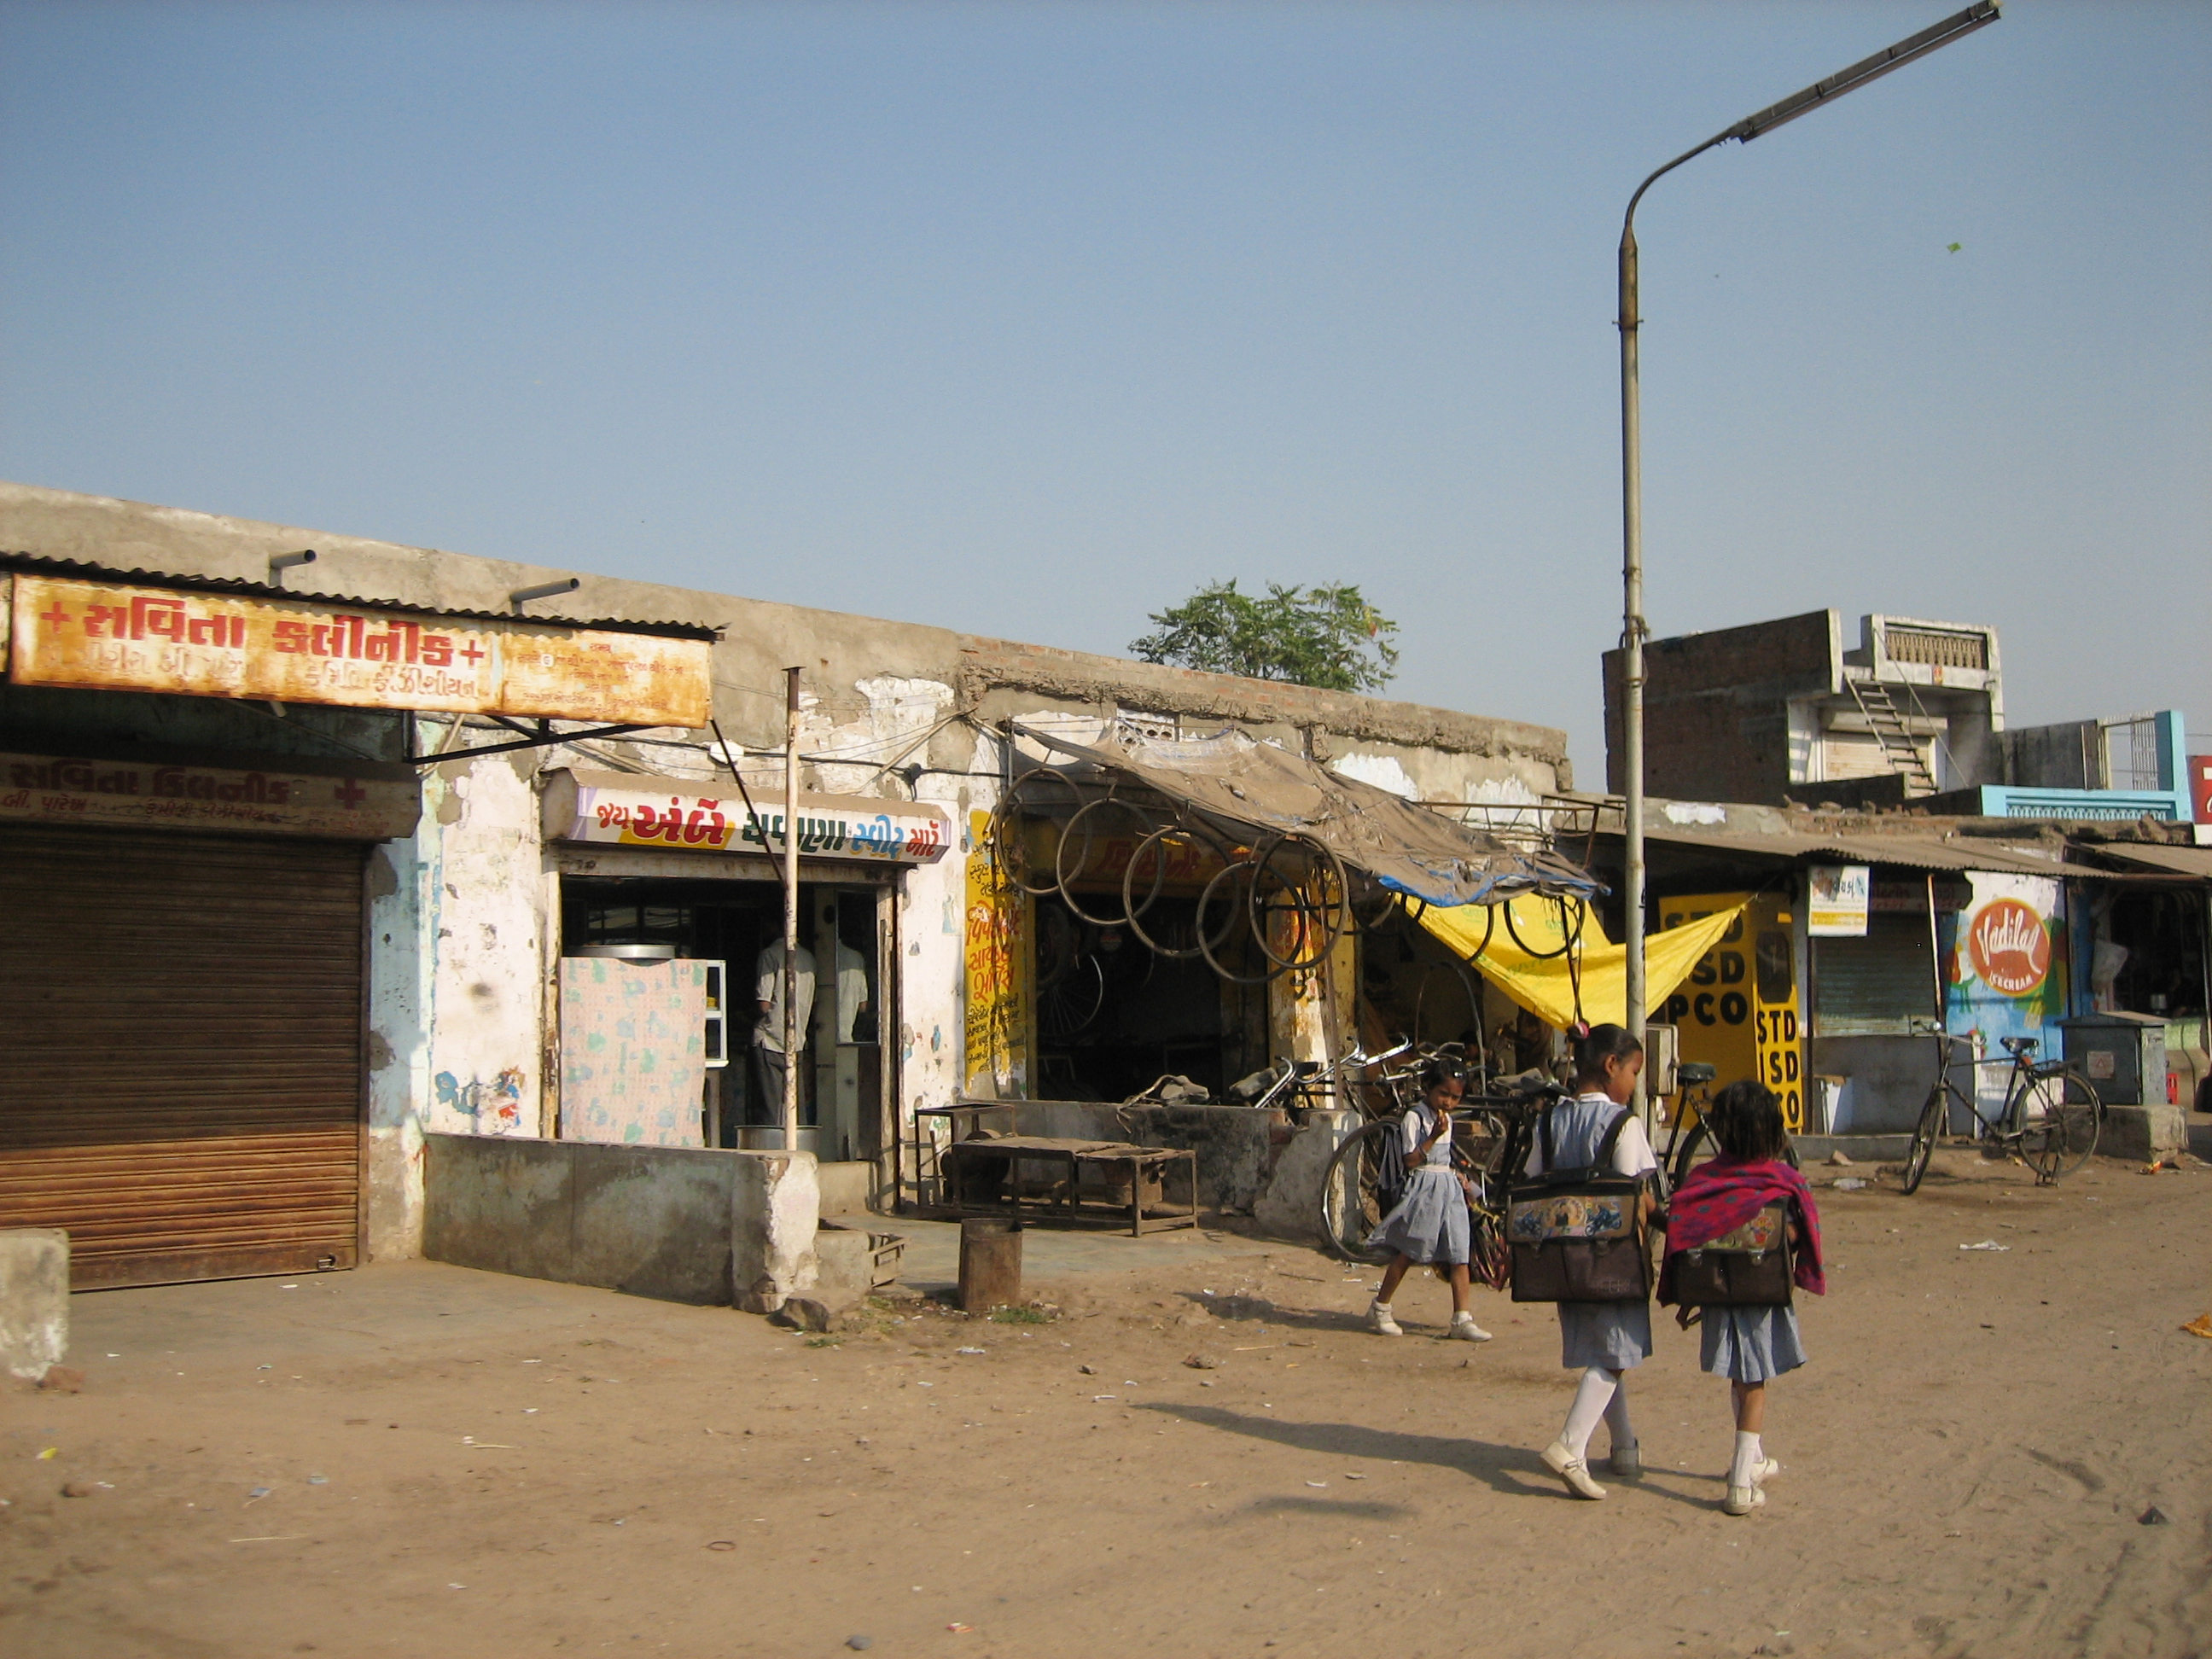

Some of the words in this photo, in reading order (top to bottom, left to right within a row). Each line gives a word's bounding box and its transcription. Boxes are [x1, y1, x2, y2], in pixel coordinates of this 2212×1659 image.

[80, 597, 250, 654] સવિતા
[270, 613, 480, 669] કલીતીક
[596, 795, 713, 836] જ્ય અં
[1971, 902, 2042, 958] Vadilal